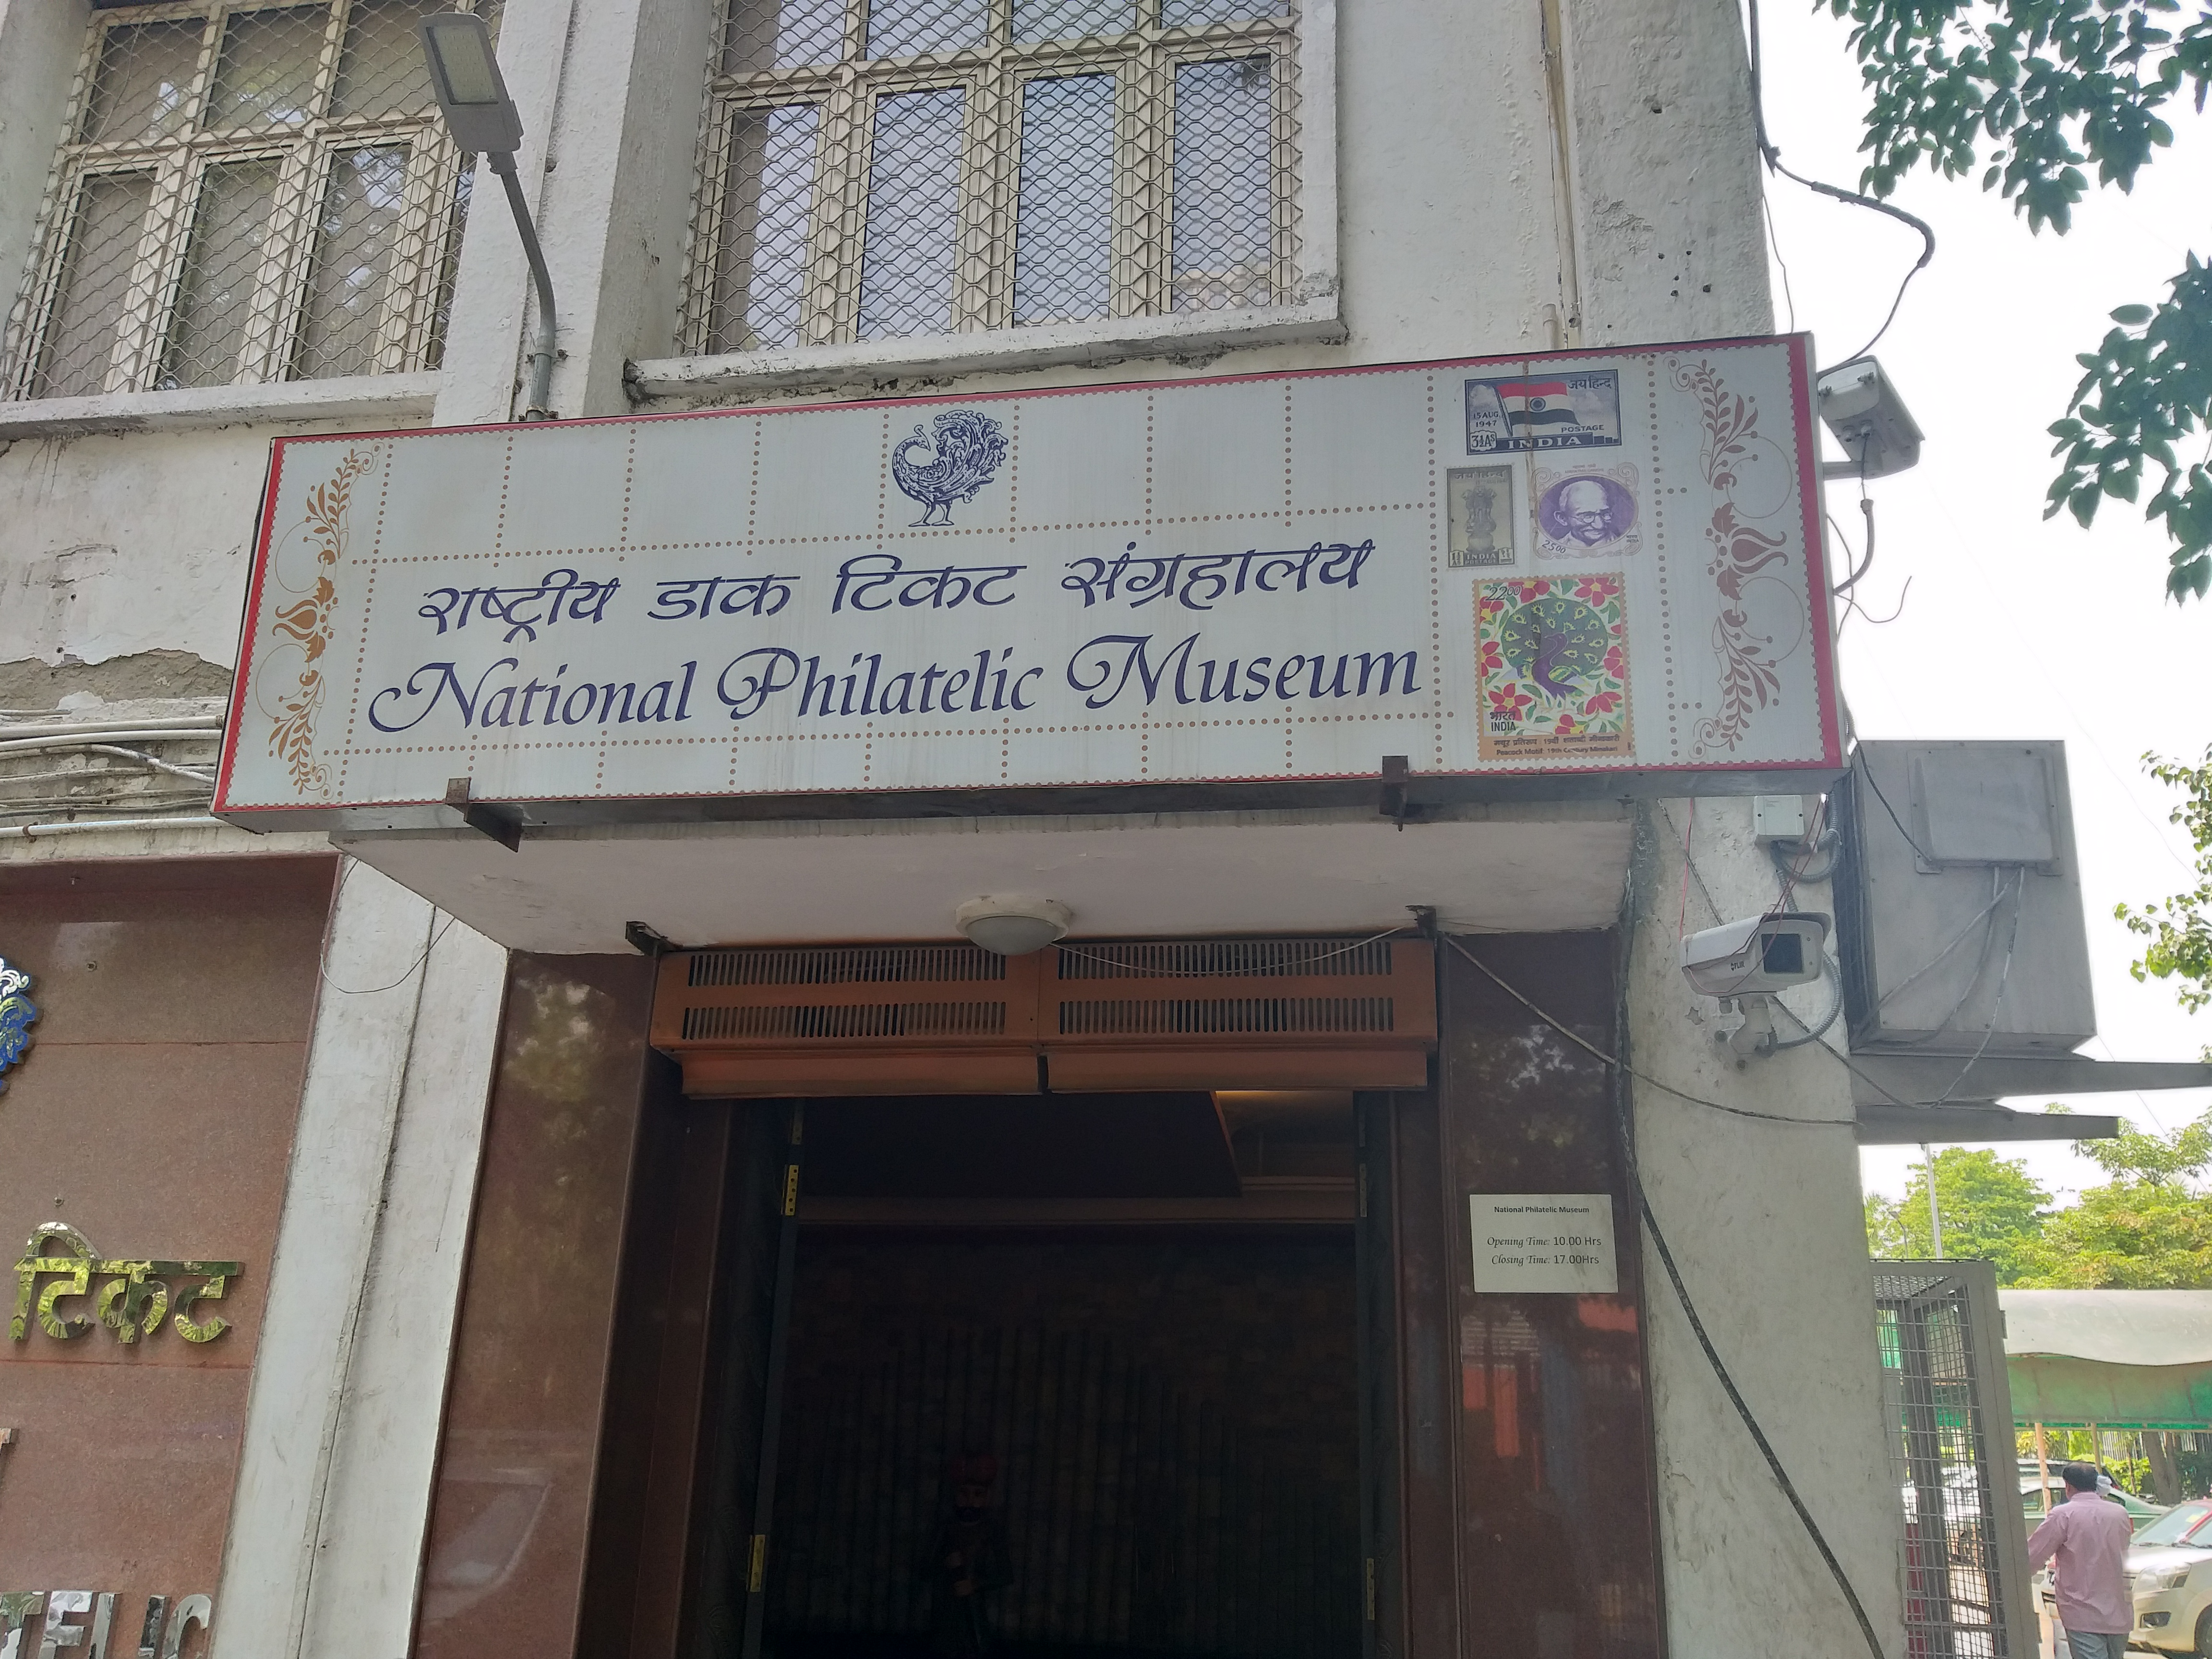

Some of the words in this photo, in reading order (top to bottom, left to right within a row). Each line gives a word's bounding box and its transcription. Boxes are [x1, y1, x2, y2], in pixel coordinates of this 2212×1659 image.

[1566, 378, 1587, 392] जय
[1587, 372, 1614, 392] हिन्द
[1559, 421, 1607, 435] POSTAGE
[1507, 434, 1582, 451] INDIA
[1453, 470, 1477, 482] जय
[1476, 466, 1505, 480] हिन्द
[1465, 552, 1499, 560] INDIA
[829, 550, 1029, 616] टिकट
[1060, 536, 1377, 616] संग्रहालय
[641, 571, 805, 623] डाक
[414, 565, 622, 648] राष्ट्रीय
[1063, 628, 1423, 712] Museum
[710, 643, 1046, 722] Philatelic
[363, 654, 701, 737] National
[1488, 709, 1517, 722] भारत
[1487, 720, 1518, 733] INDIA
[1492, 738, 1512, 750] मयूर
[1495, 748, 1524, 757] Peacock
[1512, 733, 1540, 747] प्रतिरूप
[1523, 746, 1545, 757] Motif:
[1542, 734, 1561, 745] 19वीं
[1547, 746, 1563, 756] 19th
[1562, 732, 1587, 745] शताब्दी
[1563, 745, 1590, 756] Ctury
[1587, 744, 1619, 754] Mimakari
[1587, 732, 1621, 744] मीनाकारी